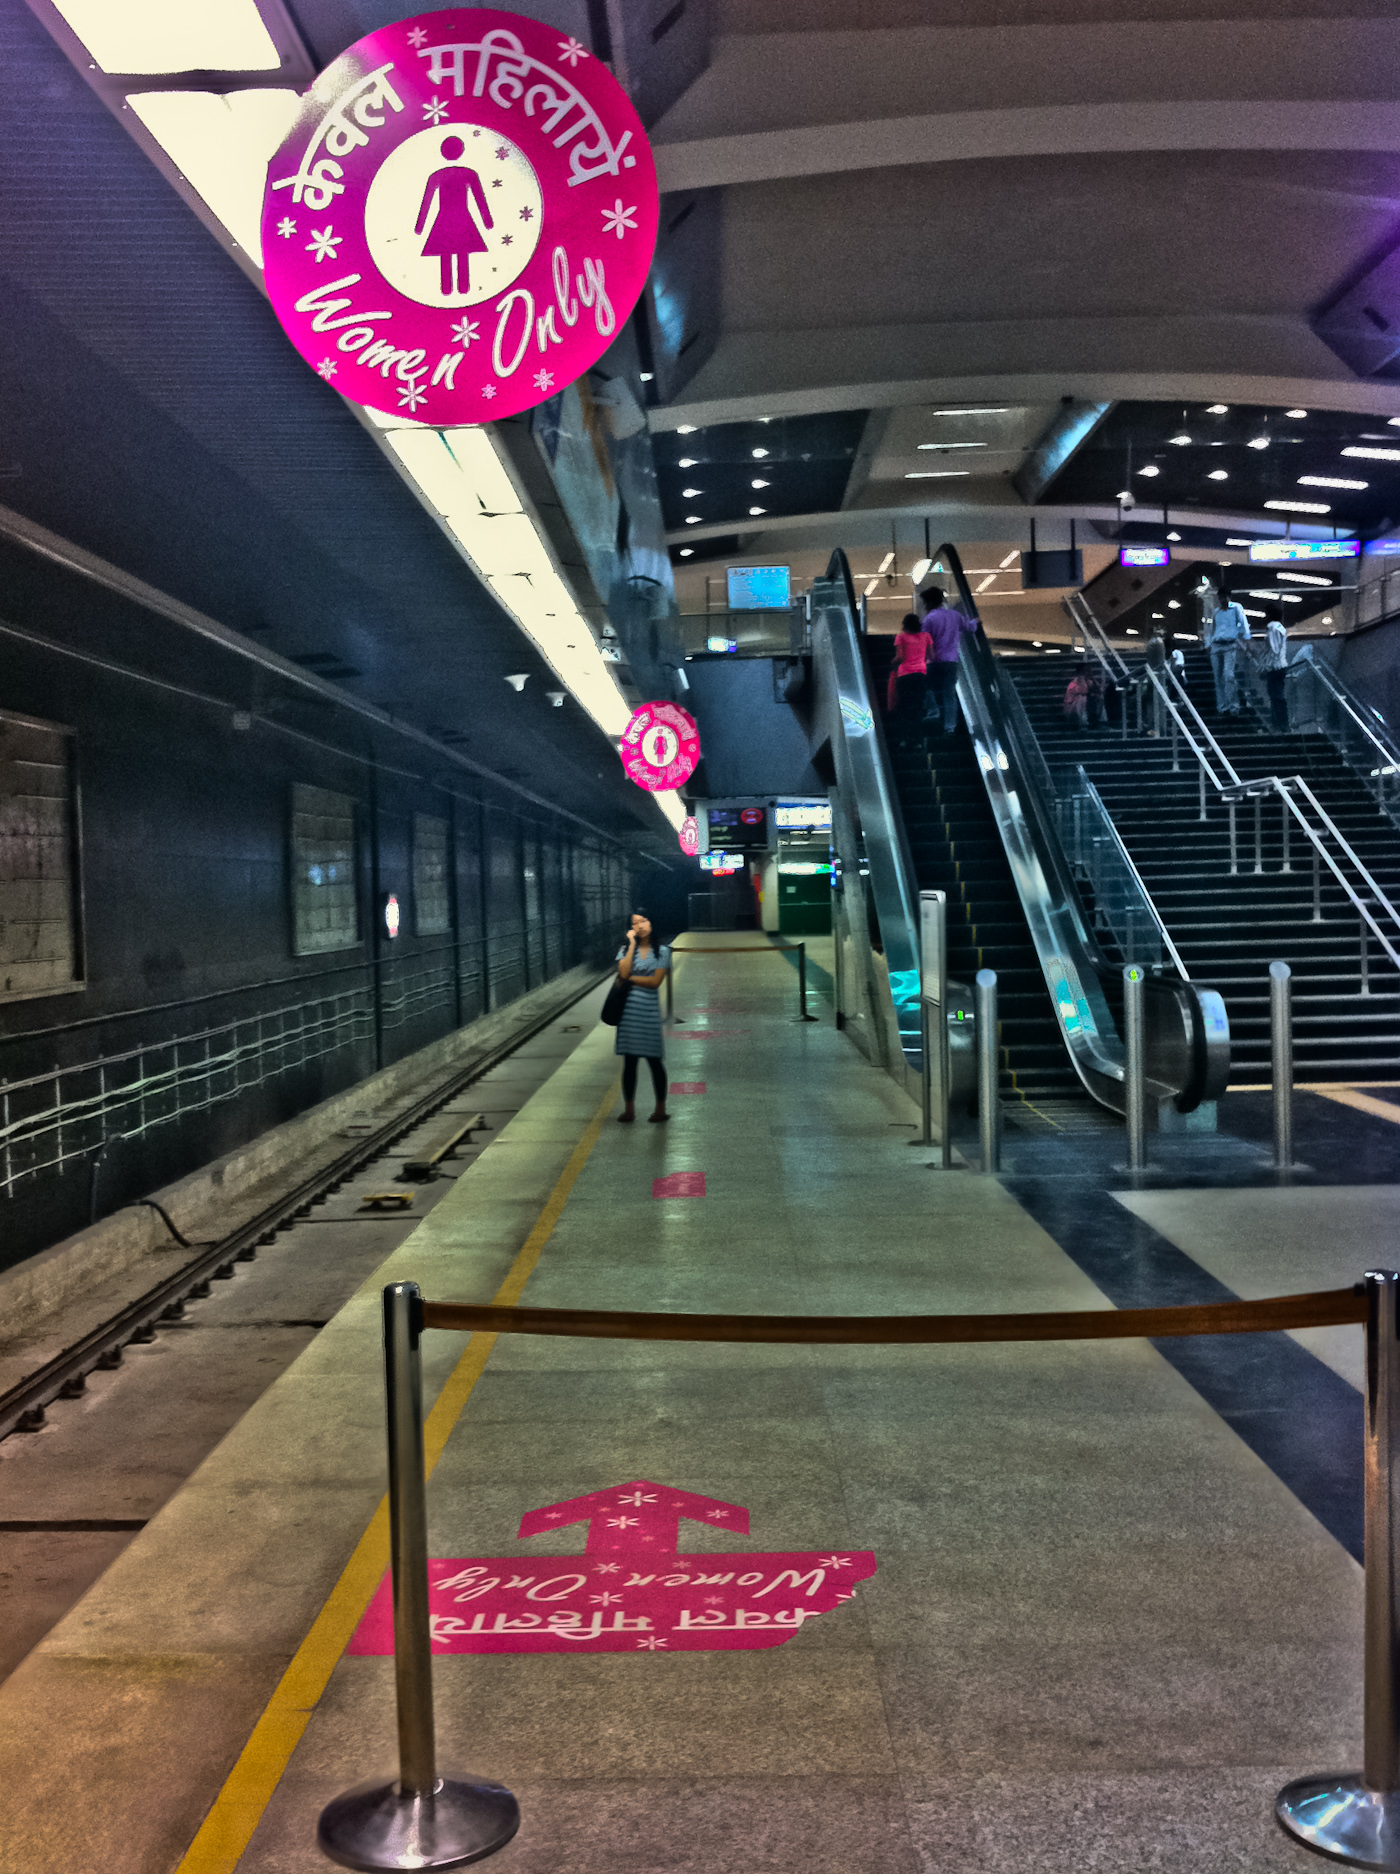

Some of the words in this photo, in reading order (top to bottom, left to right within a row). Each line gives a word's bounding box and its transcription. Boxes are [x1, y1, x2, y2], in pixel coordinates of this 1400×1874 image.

[265, 61, 405, 214] केवल
[417, 25, 638, 190] महिलायें
[289, 271, 466, 394] Women
[487, 242, 617, 381] Only
[429, 1606, 656, 1646] महिलाये
[622, 1567, 829, 1599] Women
[670, 1603, 825, 1634] वल